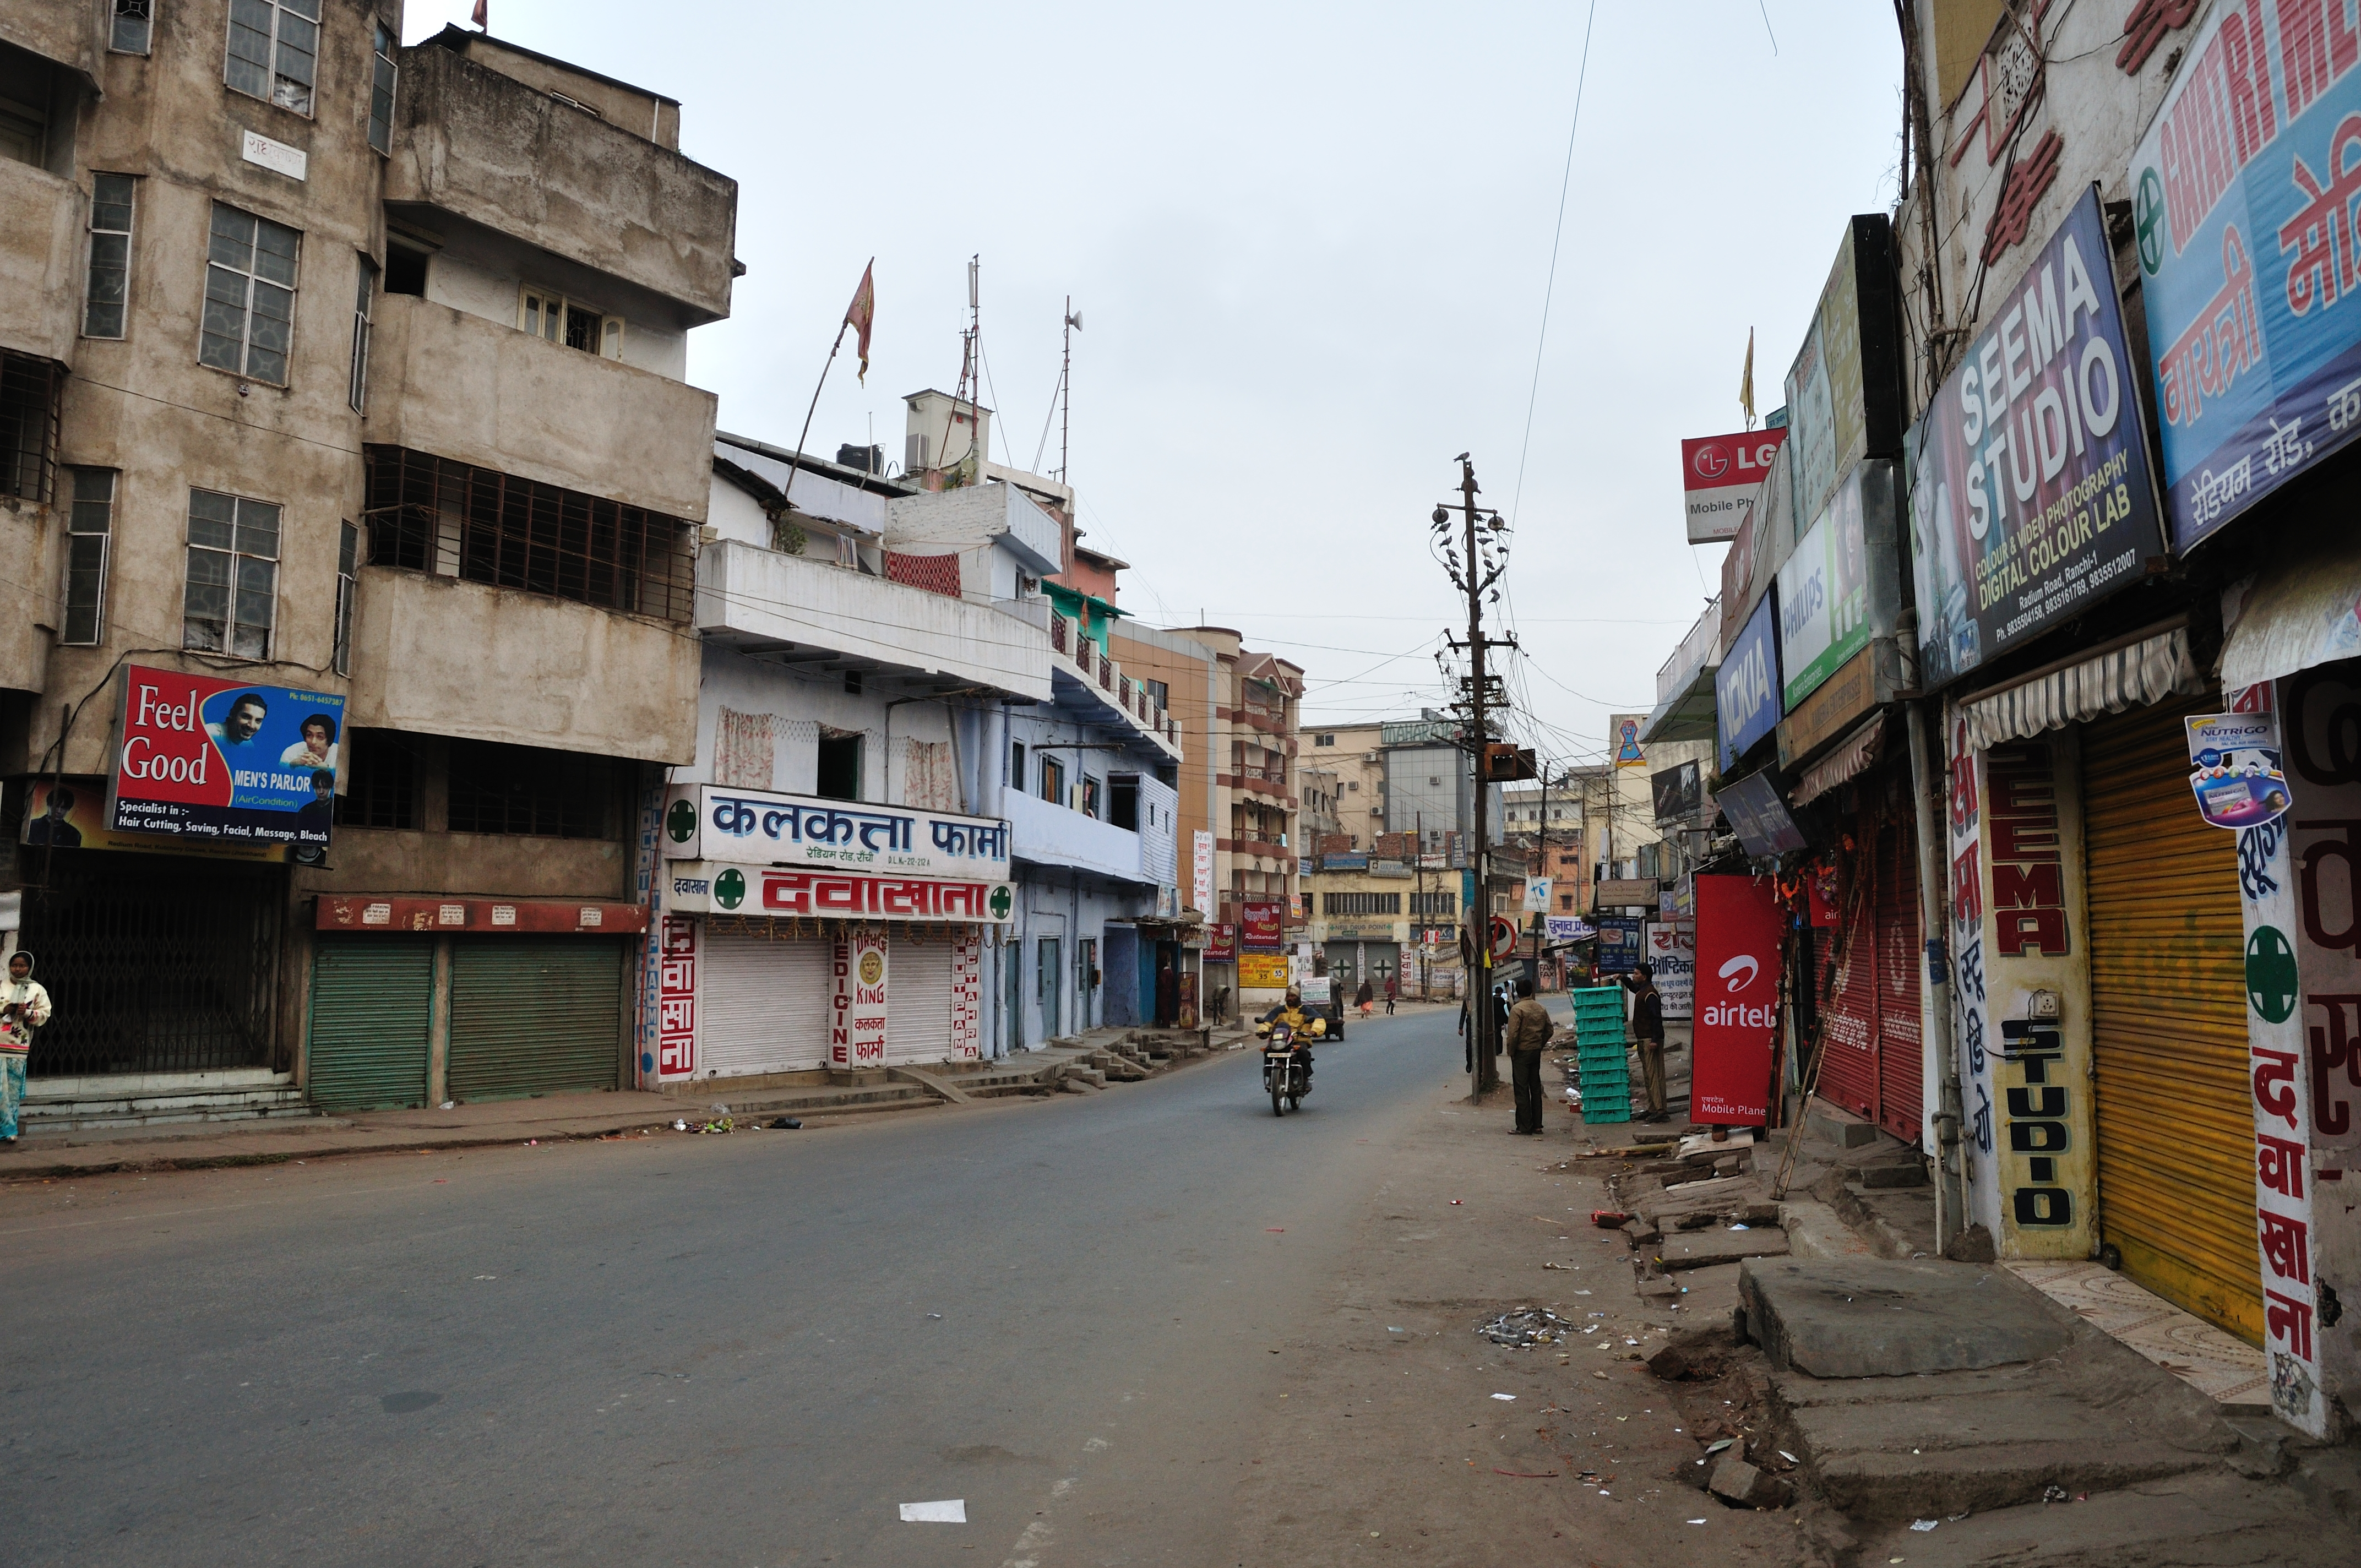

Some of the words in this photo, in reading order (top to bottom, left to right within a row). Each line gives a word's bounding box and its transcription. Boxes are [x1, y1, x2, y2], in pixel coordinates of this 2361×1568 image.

[2148, 0, 2280, 261] GAYATRI
[1952, 228, 2104, 452] SEEMA
[2153, 219, 2267, 432] गायत्री
[1960, 333, 2122, 545] STUDIO
[2259, 412, 2316, 481] रोड,
[2043, 444, 2131, 533] PHOTOGRAPHY
[2088, 478, 2134, 537] LAB
[2185, 452, 2254, 532] रेडियम
[1970, 535, 2011, 585] COLOUR
[1974, 555, 2032, 617] DIGITAL
[2003, 531, 2021, 562] &
[2010, 510, 2050, 553] VIDEO
[2014, 584, 2046, 615] १९८००००
[2038, 566, 2065, 602] Road,
[2022, 505, 2096, 582] COLOUR
[2040, 575, 2090, 620] 9835161769,
[2059, 546, 2102, 588] Ranchi-1
[2083, 545, 2136, 595] 9835512007
[1992, 597, 2047, 649] Ph.9835504158,
[130, 679, 203, 739] Feel
[1381, 720, 1459, 744] MAHARAYA
[121, 733, 210, 791] Good
[232, 767, 269, 791] MEN
[268, 770, 313, 794] PARLOR
[115, 812, 144, 831] प्तगर
[118, 799, 170, 818] Specialist
[142, 815, 182, 837] Cutting,
[166, 802, 183, 819] in
[184, 818, 221, 840] Saving,
[222, 819, 253, 841] Facial,
[235, 793, 297, 812] AirCondition
[254, 823, 298, 843] Massage,
[297, 829, 333, 843] Bleach
[711, 792, 917, 853] कलकत्ता
[802, 842, 839, 862] रेडियम
[836, 844, 856, 863] रोड,
[852, 847, 875, 864] रॉँची
[929, 817, 1009, 861] फार्मा
[674, 873, 711, 900] दवाखाना
[759, 865, 992, 921] दवाखाना
[1238, 902, 1274, 924] देहाती
[1546, 916, 1575, 937] चुनाव
[659, 916, 699, 1075] दवाखाना
[826, 926, 854, 1066] MEDICINE
[854, 981, 887, 1006] KING
[853, 1015, 889, 1032] कलकत्ता
[1701, 1001, 1773, 1029] airtel
[853, 1030, 889, 1062] फार्मा
[1698, 1089, 1725, 1107] एयरटेल
[1695, 1101, 1737, 1117] Mobile
[1734, 1099, 1769, 1119] Plane
[2242, 1038, 2315, 1363] दवाखाना